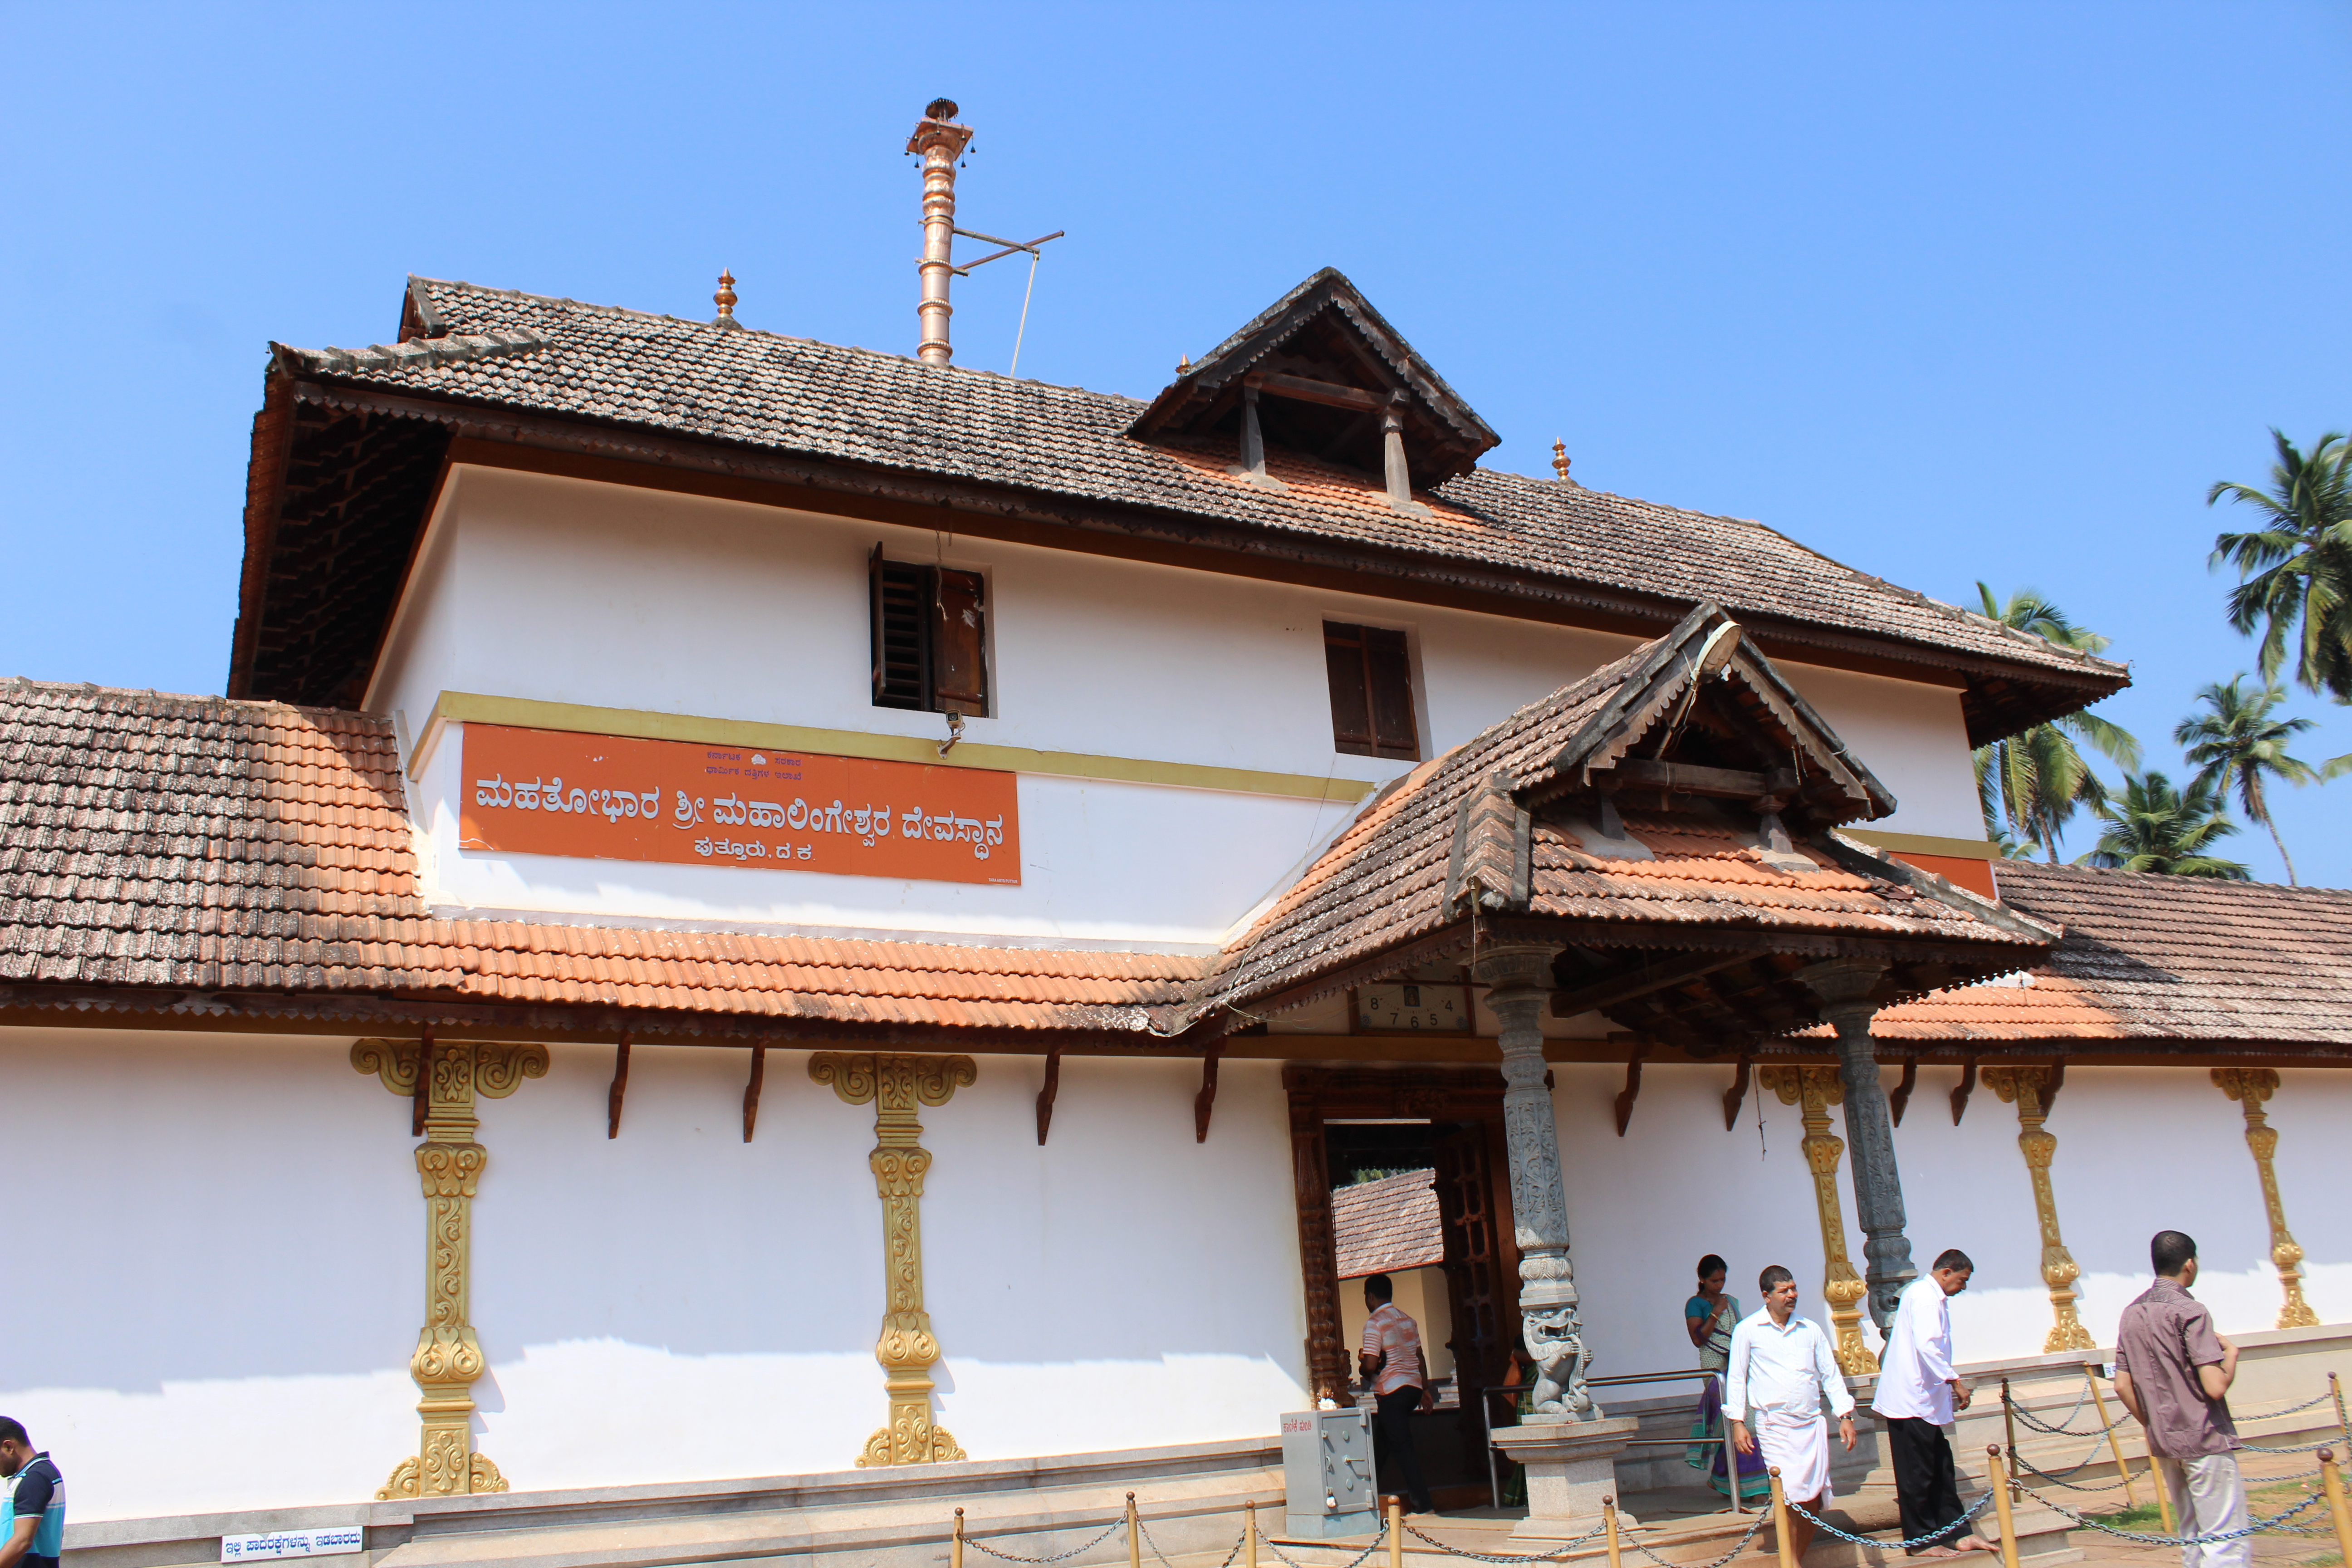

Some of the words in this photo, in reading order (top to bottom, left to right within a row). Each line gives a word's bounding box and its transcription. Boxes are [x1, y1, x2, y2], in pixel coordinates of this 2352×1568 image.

[702, 764, 741, 778] ಧಾರ್ಮಿಕ
[704, 748, 743, 764] ಕರ್ನಾಟಕ
[742, 766, 771, 780] ದತ್ತಿಗಳ
[770, 769, 804, 784] ఇలాజీ
[773, 753, 802, 769] ಸರಕಾರ
[474, 773, 664, 824] ಮಹತೋಭಾರ
[670, 787, 707, 832] ಶ್ರೀ
[709, 790, 892, 850] ಮಹಾಲಿಂಗೇಶ್ವರ
[899, 802, 1007, 862] ದೇವಸ್ಧಾನ
[694, 836, 770, 862] ಪುತ್ತೂರು
[774, 840, 817, 862] ದ.ಕ.